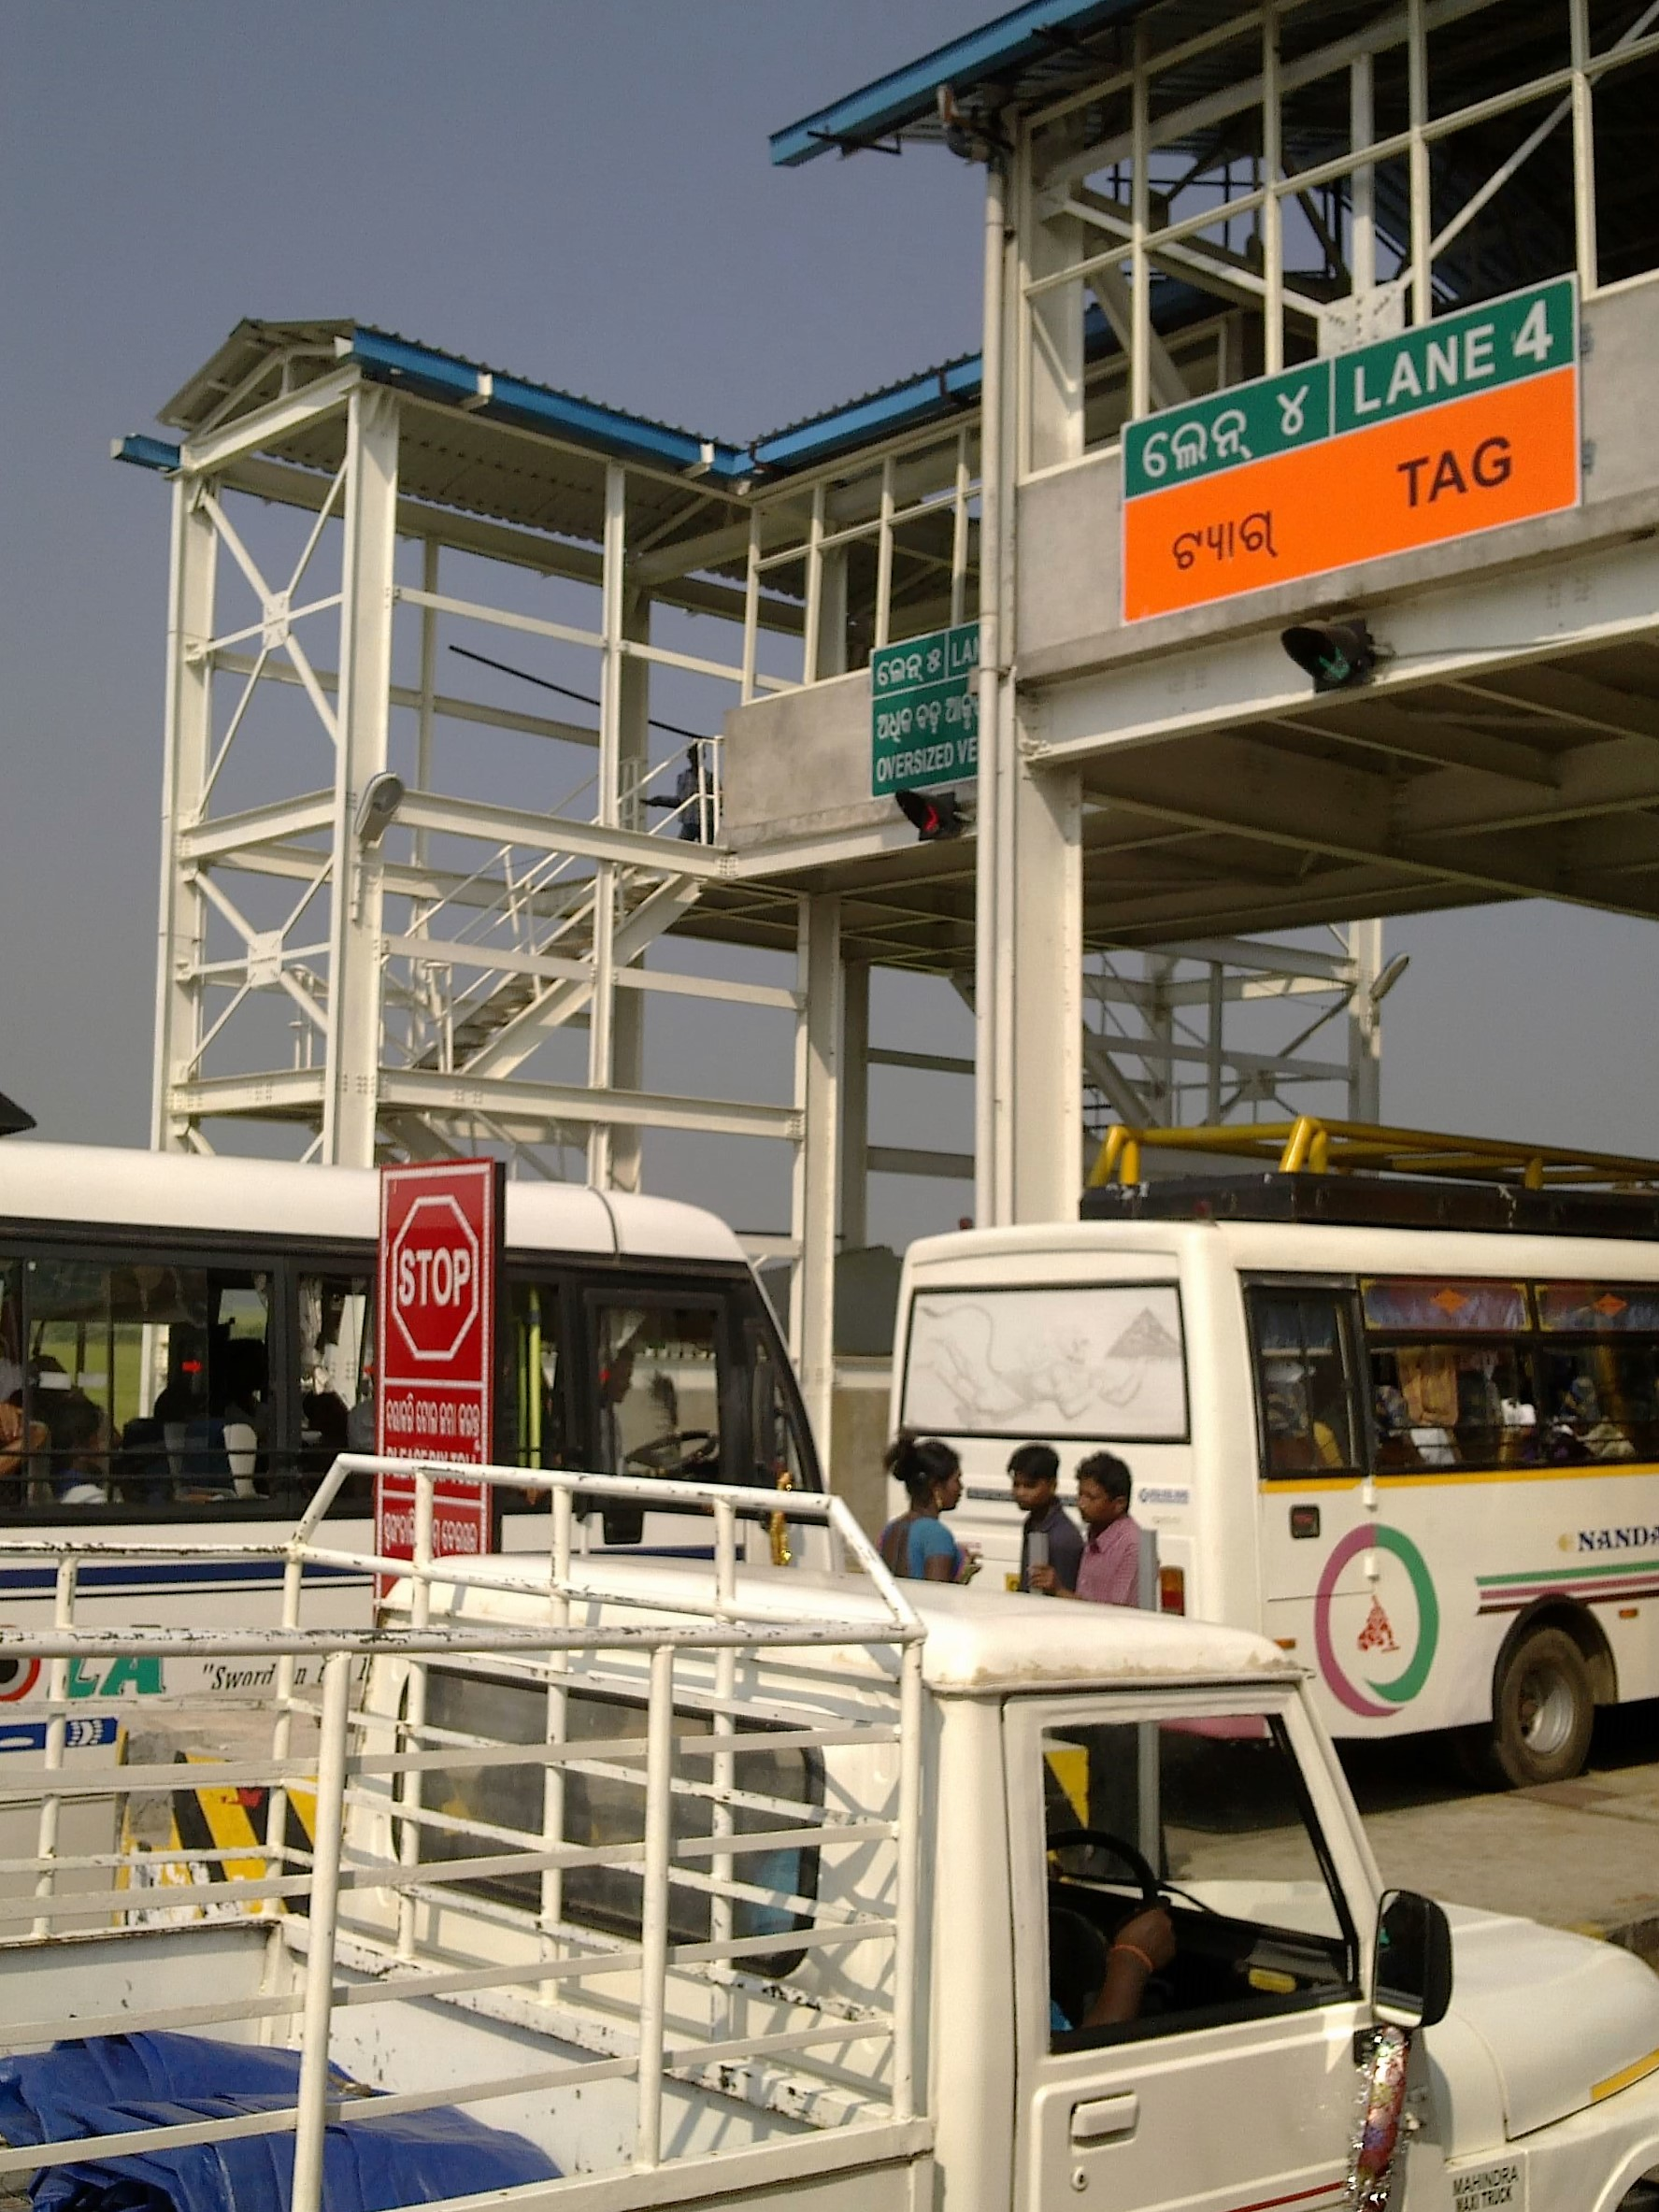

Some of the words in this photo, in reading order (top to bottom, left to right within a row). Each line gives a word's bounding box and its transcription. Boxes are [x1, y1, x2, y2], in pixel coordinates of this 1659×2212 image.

[1349, 314, 1501, 421] LANE
[1501, 290, 1571, 370] 4
[1136, 401, 1256, 481] ଲେନ୍
[1263, 372, 1330, 441] ४
[1391, 431, 1517, 510] TAG
[1167, 503, 1281, 579] ଟ୍ଯାଗ୍
[871, 642, 943, 692] ଲେନ୍ ୫
[873, 695, 947, 751] ଅଧୂକ ବଡ଼
[867, 735, 959, 787] OVERSIZED
[381, 1231, 485, 1320] STOP
[1566, 1519, 1659, 1556] NAND